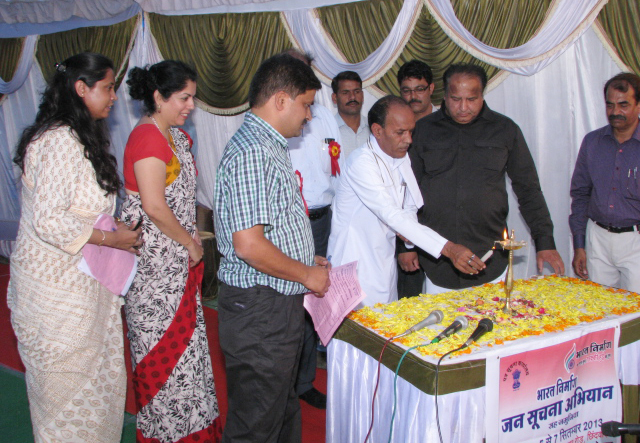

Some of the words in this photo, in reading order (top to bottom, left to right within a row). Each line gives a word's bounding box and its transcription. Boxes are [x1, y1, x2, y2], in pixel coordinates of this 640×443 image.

[572, 336, 615, 363] भारत निर्माण
[497, 410, 529, 437] जन
[531, 381, 558, 404] भारत।
[527, 395, 566, 433] सूचना
[551, 371, 582, 401] निर्माण
[553, 419, 585, 440] सितम्बर
[563, 384, 616, 417] अभियान
[575, 413, 609, 433] 2013